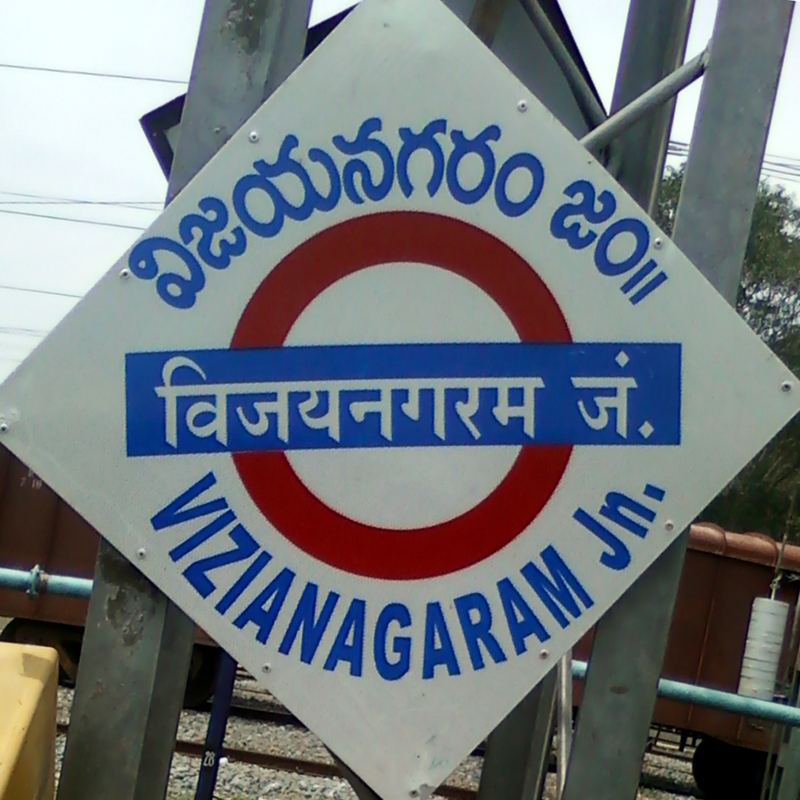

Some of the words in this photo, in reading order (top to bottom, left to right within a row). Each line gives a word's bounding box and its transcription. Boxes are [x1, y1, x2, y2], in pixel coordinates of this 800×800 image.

[117, 110, 548, 319] విజయనగరం
[542, 170, 673, 310] జం॥
[147, 345, 549, 457] विजयनगरम
[561, 337, 658, 441] जं.
[147, 464, 596, 687] VIZIANAGARAM
[566, 475, 672, 576] Jn.